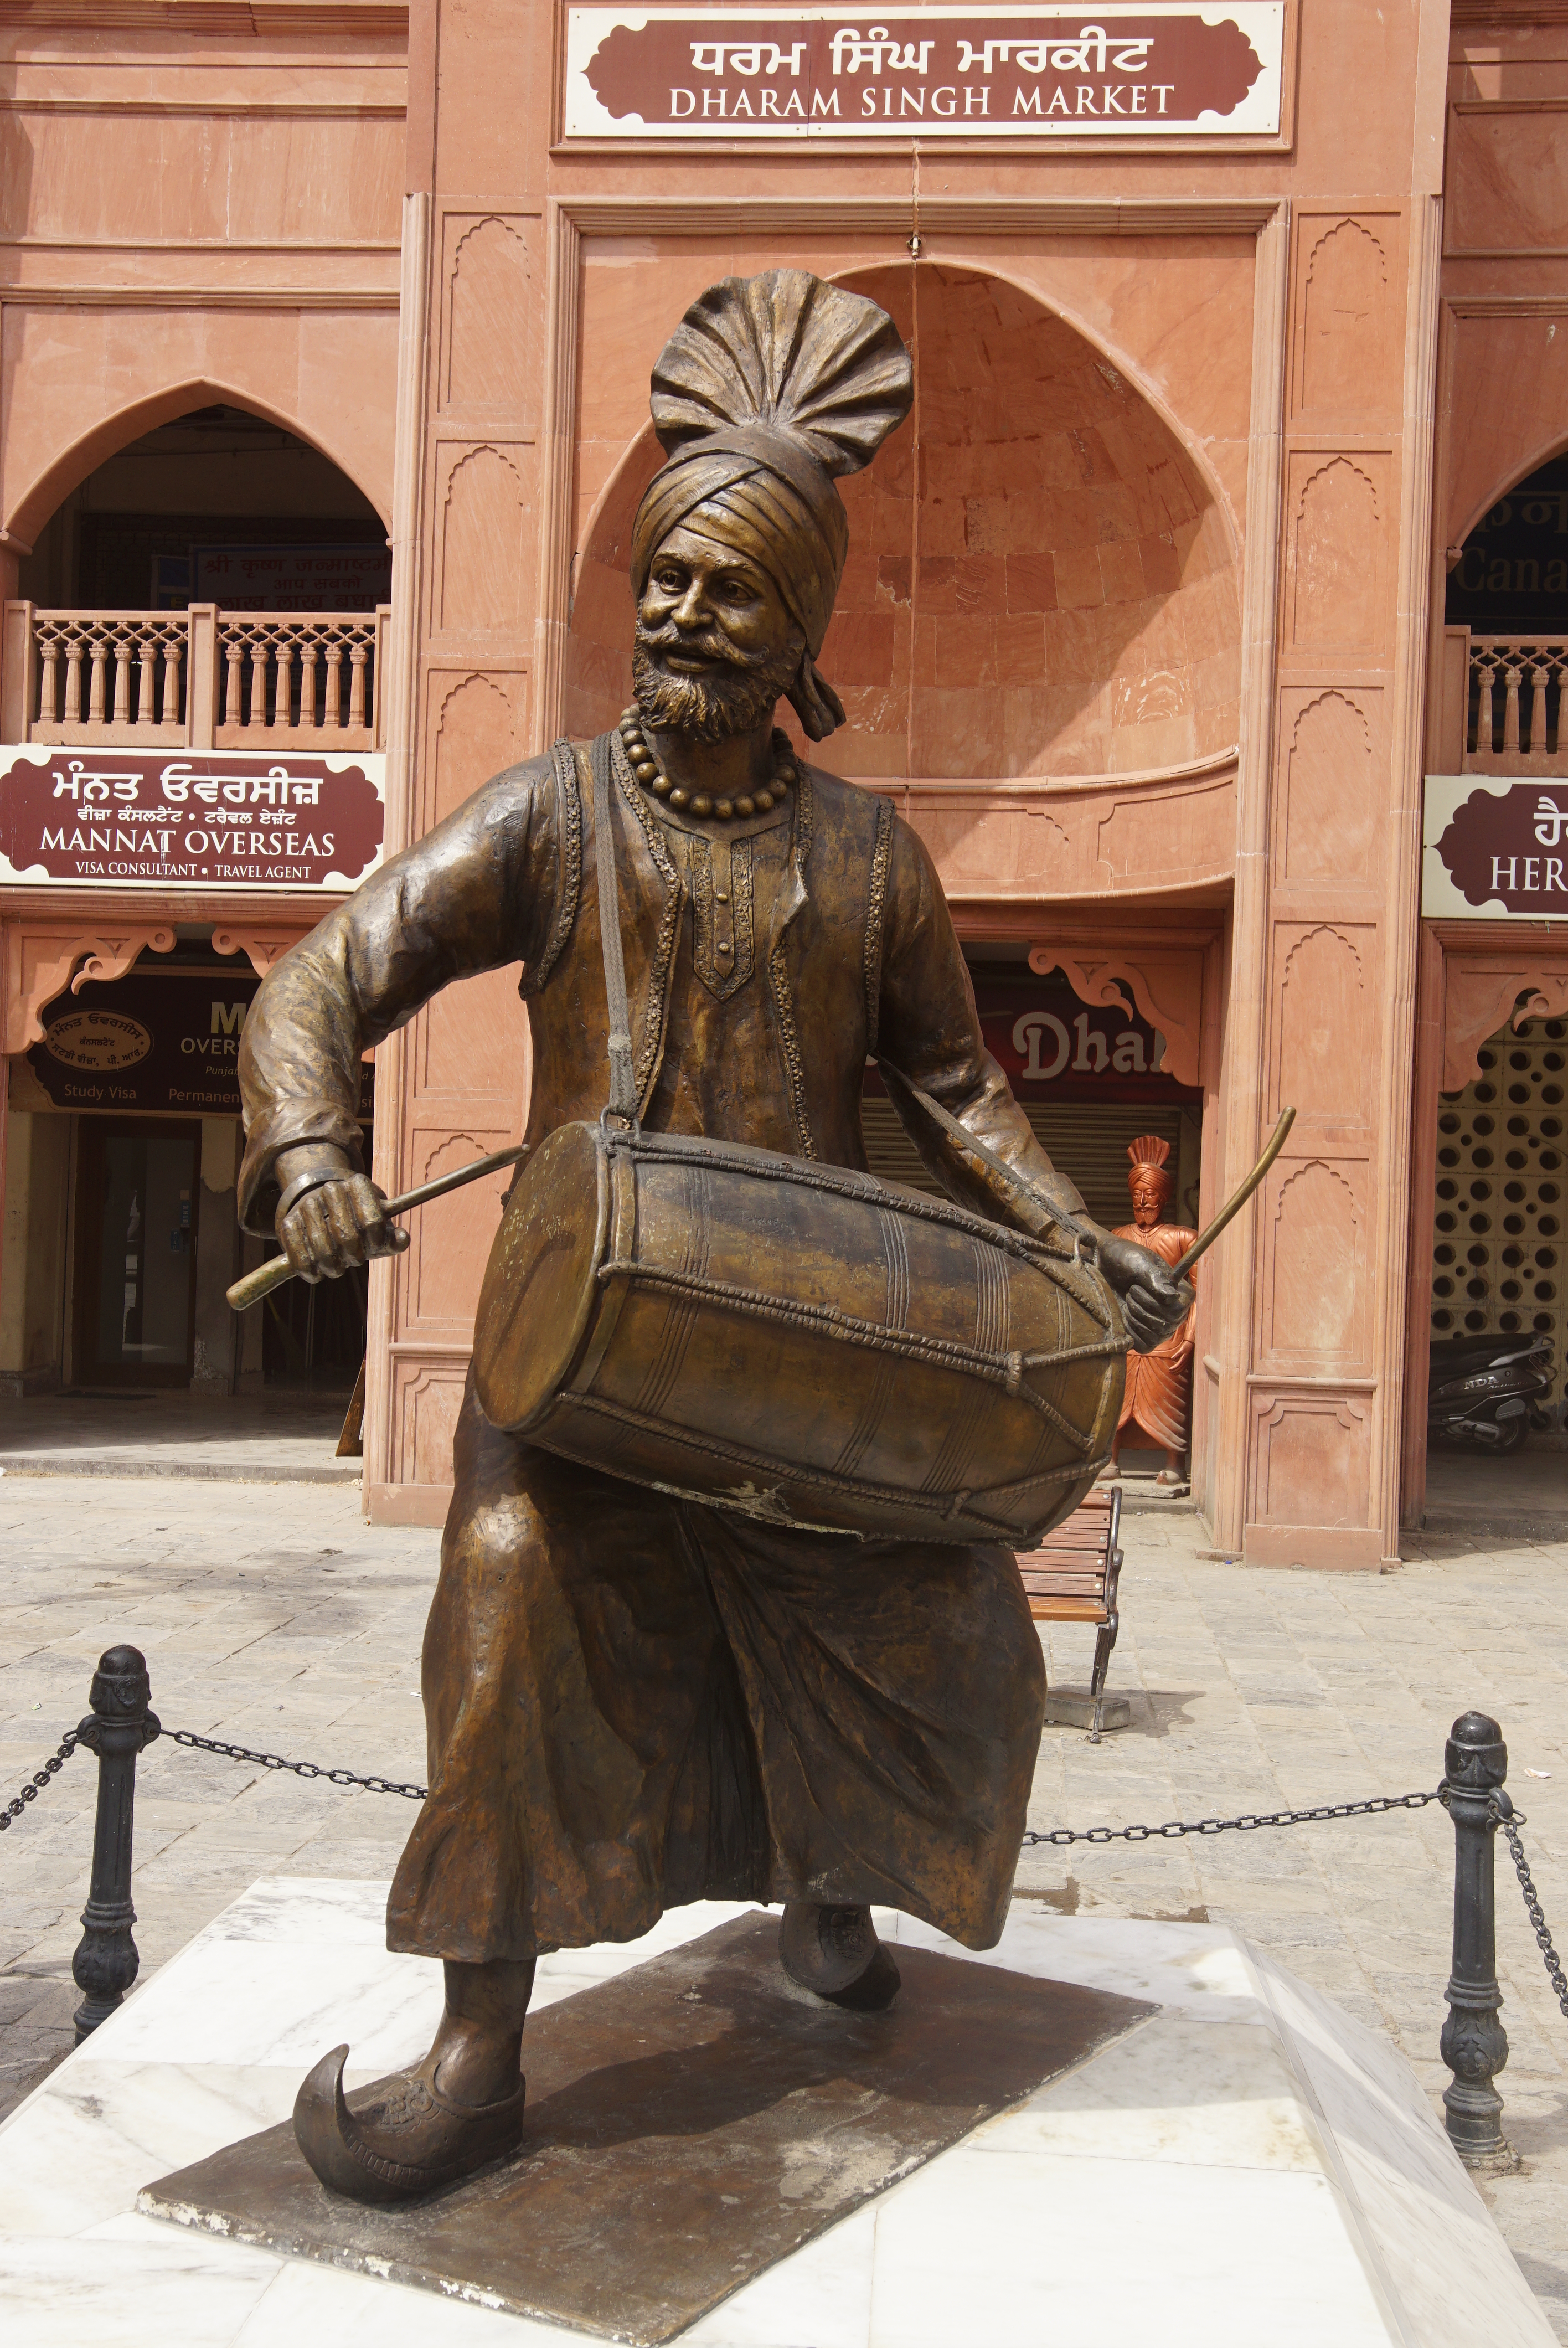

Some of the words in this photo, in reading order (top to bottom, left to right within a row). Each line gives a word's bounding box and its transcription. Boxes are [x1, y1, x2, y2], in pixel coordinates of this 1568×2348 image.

[683, 34, 815, 81] ਧਰਮ
[823, 22, 942, 80] ਸਿੰਘ
[949, 17, 1170, 79] ਮਾਰਕੀਟ
[660, 79, 849, 121] DHARAM
[853, 81, 1002, 121] SINGH
[1005, 79, 1188, 118] MARKET
[198, 551, 236, 580] श्री
[236, 555, 289, 581] कृष्ण
[288, 549, 393, 574] जन्माष्टमी
[268, 574, 310, 592] आप
[308, 573, 368, 591] सबको
[214, 594, 271, 613] लाख
[270, 592, 329, 611] लाख
[38, 756, 147, 802] ਮੰਨਤ
[151, 759, 331, 808] ਓਵਰਸੀਜ਼
[71, 801, 114, 825] ਵੀਜ਼ਾ
[114, 802, 186, 825] ਕੰਸਲਟੈਂਟ
[201, 805, 256, 828] ਟਰੈਵਲ
[255, 806, 303, 829] ਏਜ਼ੰਟ
[1525, 793, 1566, 849] ਹੈ
[33, 821, 180, 857] MANNAT
[180, 826, 342, 861] OVERSEAS
[73, 858, 106, 876] VISA
[106, 858, 200, 878] CONSULTANT
[212, 861, 265, 879] TRAVEL
[263, 863, 317, 881] AGENT
[1484, 848, 1567, 898] HER
[49, 1014, 86, 1039] ਮੰਨਤ
[83, 1011, 146, 1044] ਓਵਰਸੀਸ
[208, 999, 248, 1036] M
[47, 1040, 78, 1063] ਸਟਡੀ
[73, 1051, 98, 1069] ਵੀਜ਼ਾ
[74, 1034, 120, 1048] ਕੰਨਸਲਟੈਂਟ
[101, 1051, 122, 1069] ਪੀ.
[120, 1045, 146, 1064] ਆਰ.
[174, 1033, 236, 1059] OVER
[202, 1063, 237, 1079] Punja
[1004, 1003, 1148, 1093] Dha
[60, 1080, 106, 1102] Study
[105, 1082, 140, 1105] Visa
[164, 1085, 241, 1106] Permanen